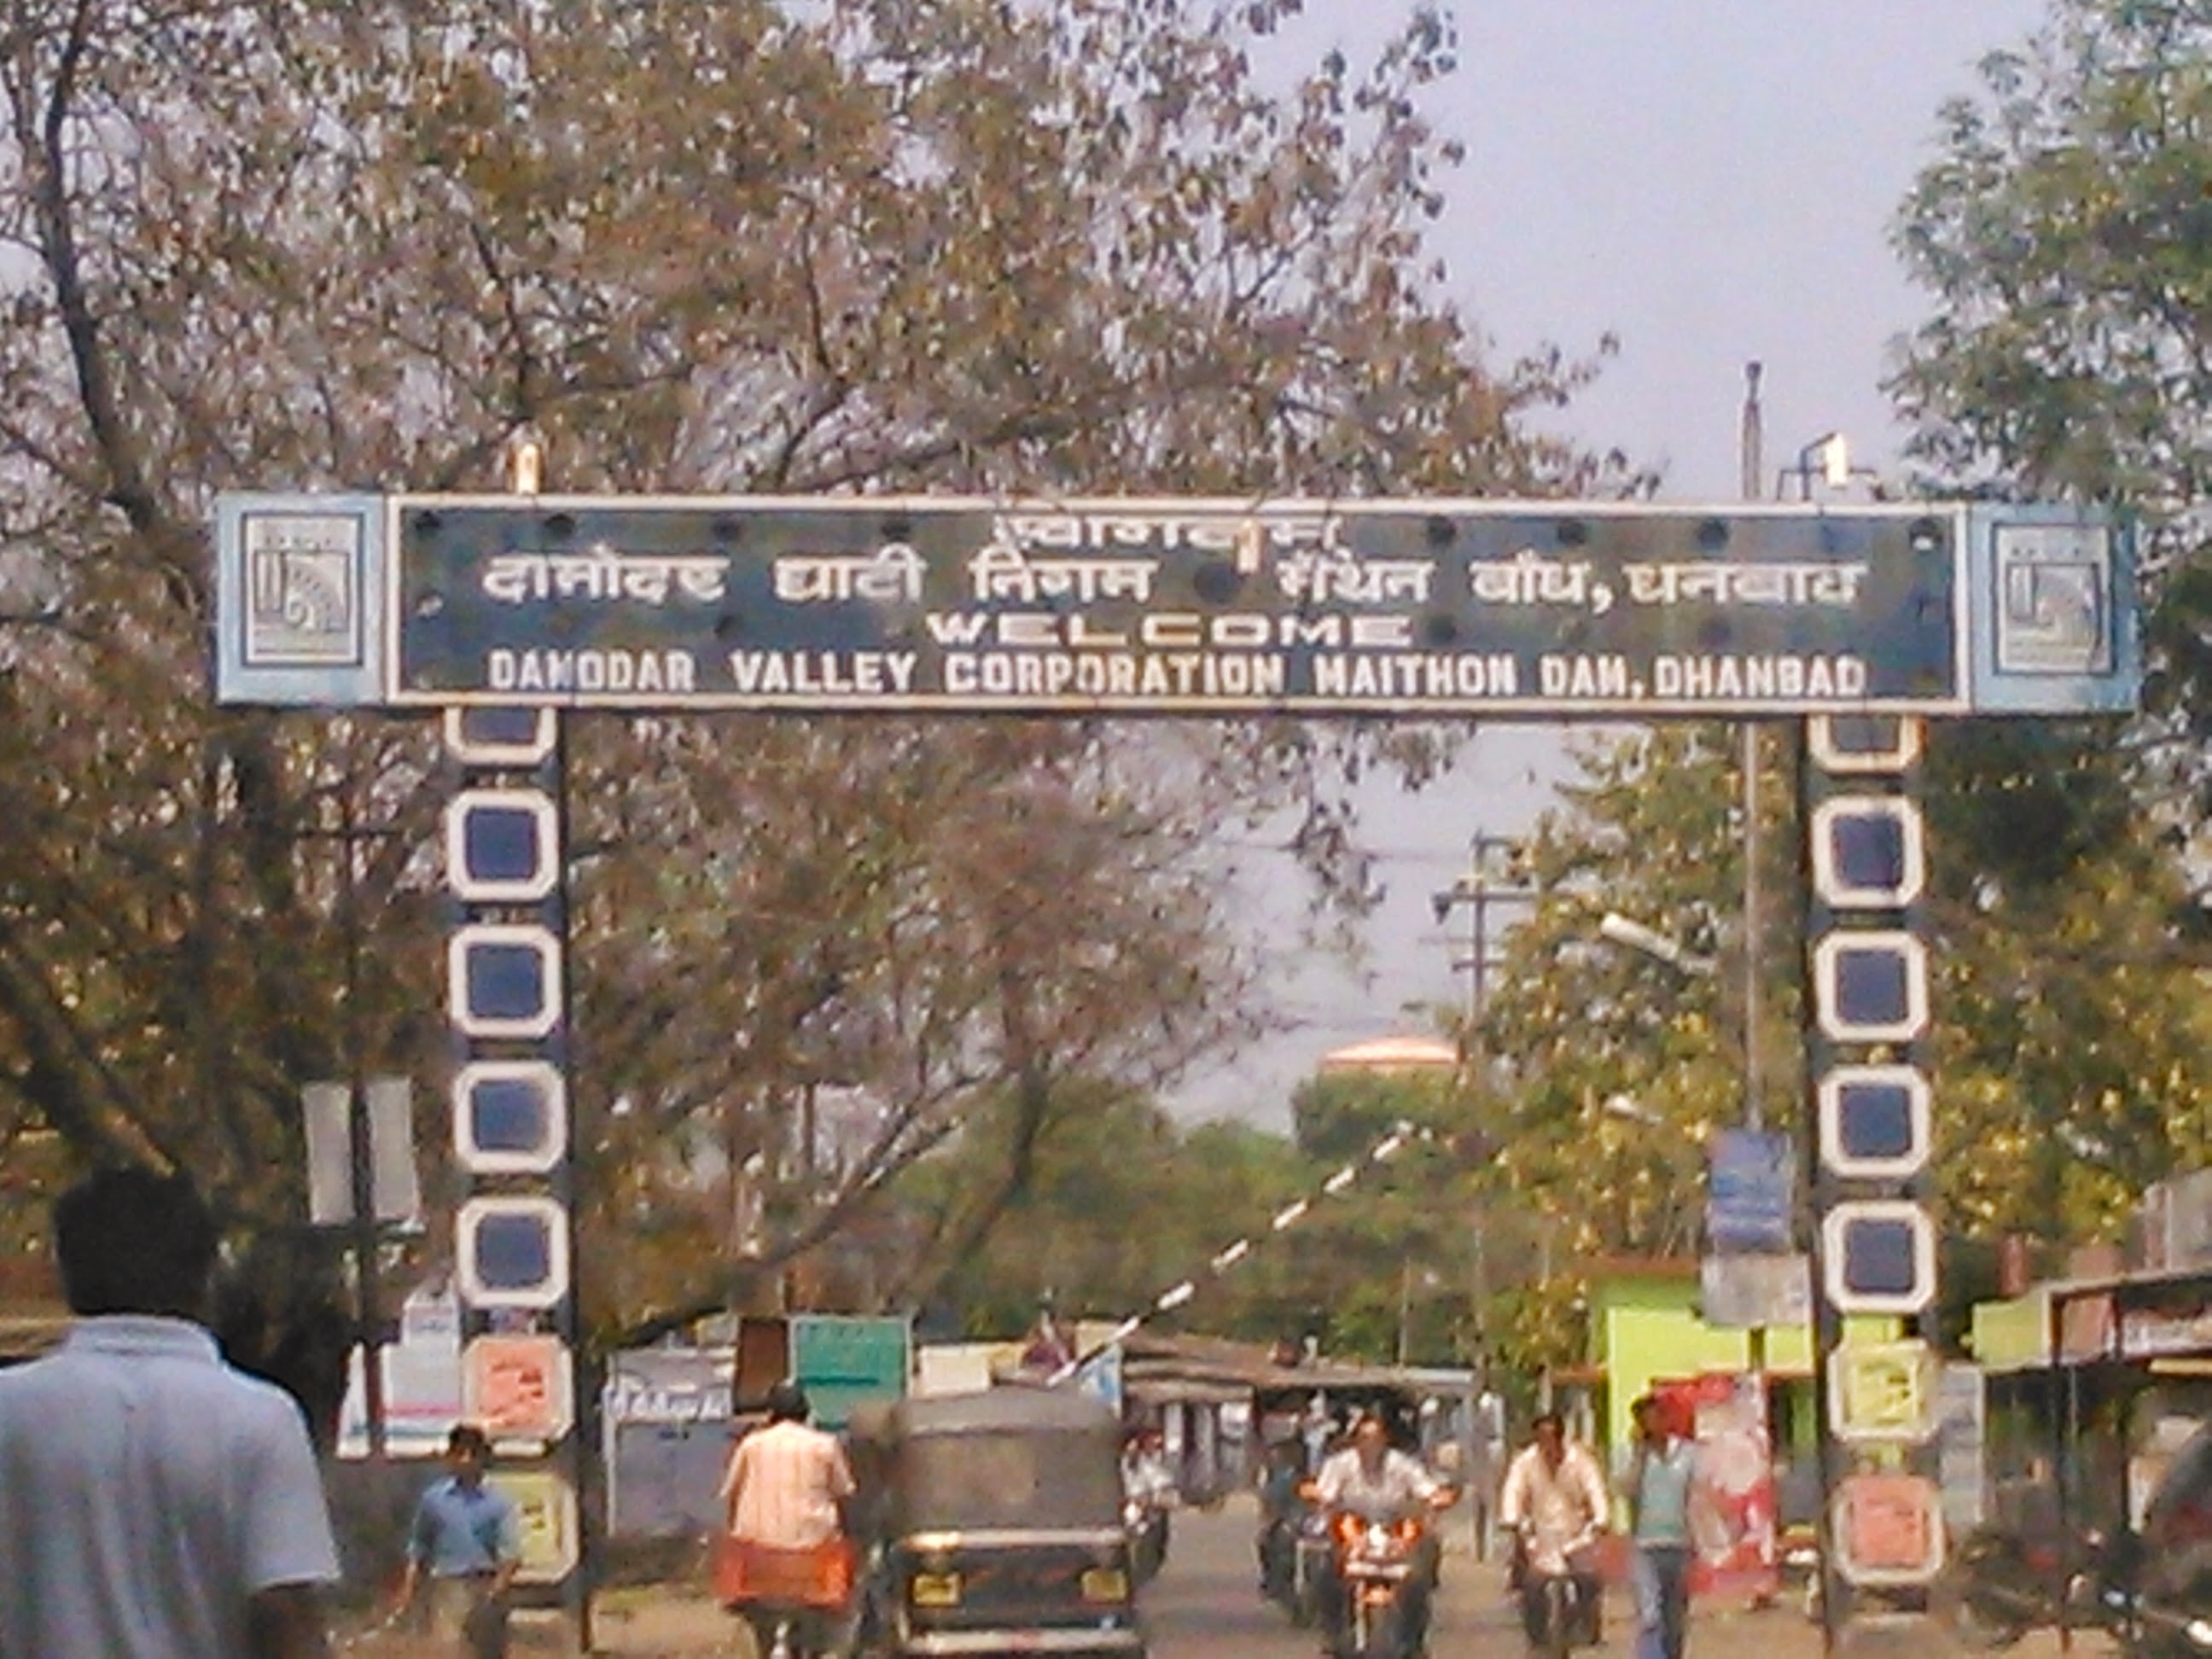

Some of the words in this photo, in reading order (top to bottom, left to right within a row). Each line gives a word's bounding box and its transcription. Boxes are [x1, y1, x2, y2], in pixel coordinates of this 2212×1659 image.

[478, 538, 739, 611] दामोदर
[768, 535, 933, 610] घाटी
[959, 532, 1165, 605] निंगम
[987, 509, 1348, 582] स्वागलम
[1269, 540, 1436, 610] मंथन
[1461, 539, 1598, 614] बाँध
[1621, 558, 1871, 612] धनबाद
[923, 600, 1417, 653] WELCOME
[484, 644, 702, 696] DAMODAR
[724, 644, 924, 700] VALLEY
[933, 649, 1290, 706] CORPORATION
[1310, 651, 1519, 702] MAITHON
[1532, 647, 1641, 710] DAM
[1648, 647, 1874, 702] DHANBAD